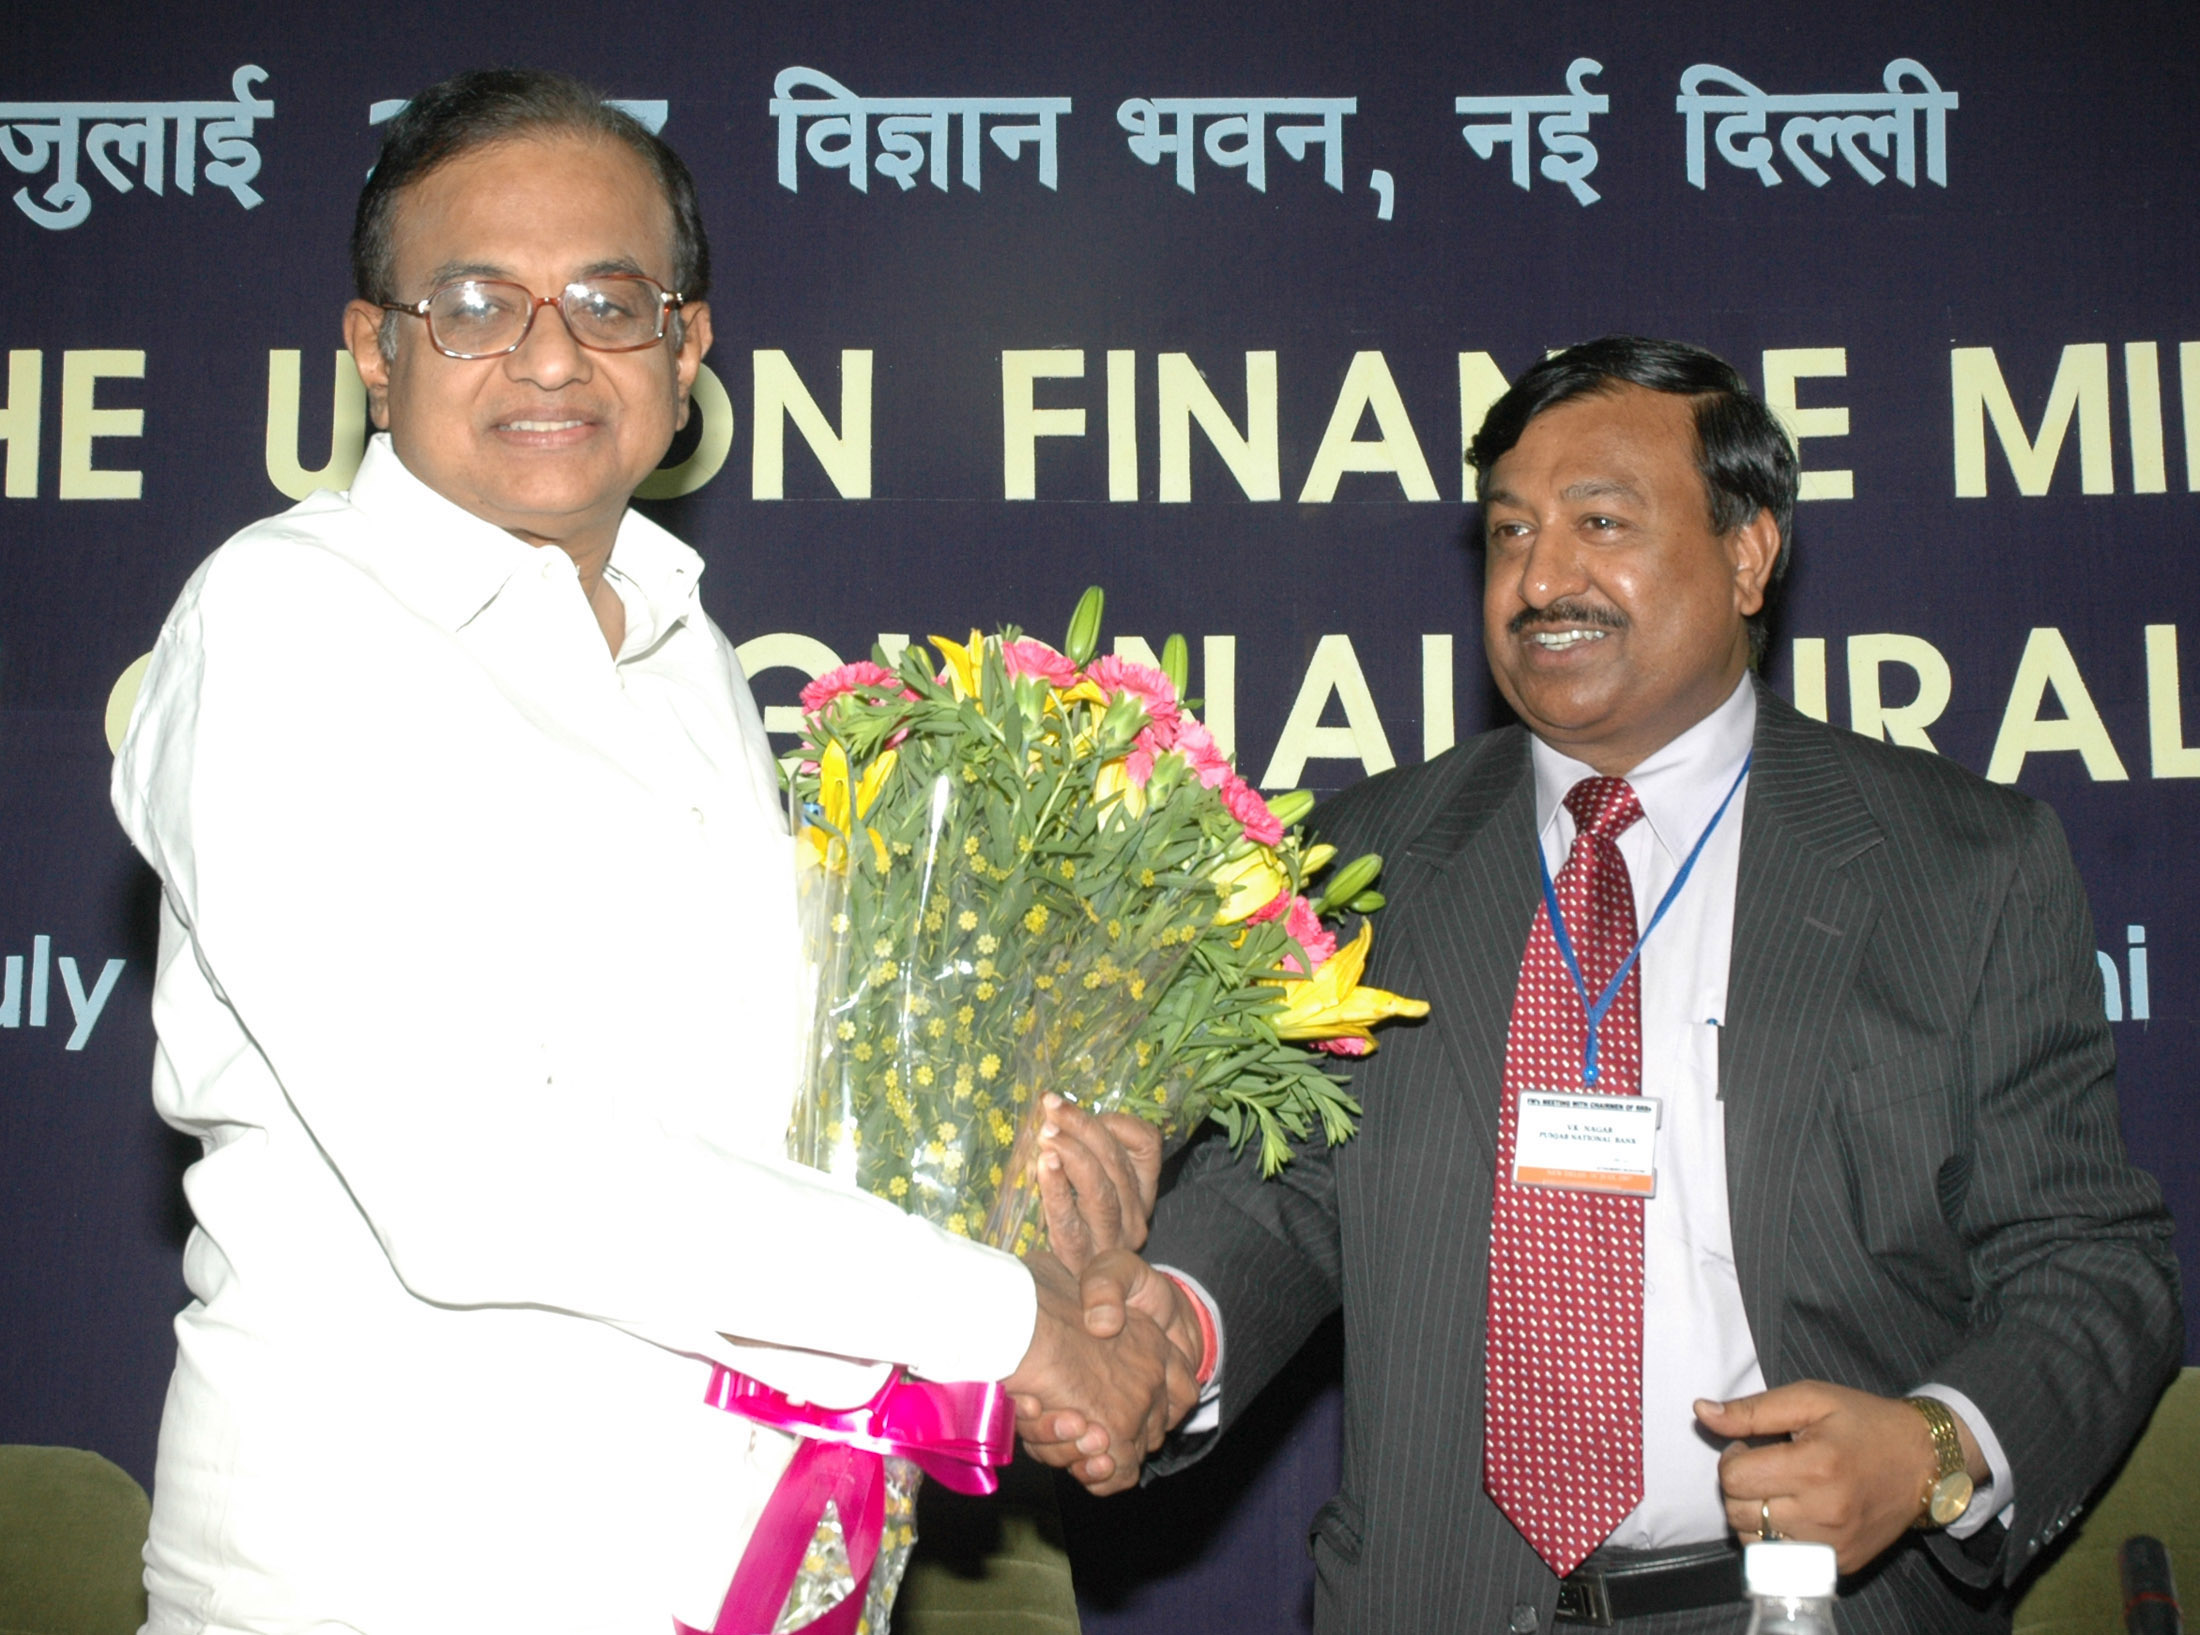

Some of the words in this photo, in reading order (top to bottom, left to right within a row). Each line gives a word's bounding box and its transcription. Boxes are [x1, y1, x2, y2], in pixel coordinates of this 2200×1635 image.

[0, 60, 282, 235] जुलाई
[752, 52, 1080, 212] विज्ञान
[1104, 80, 1362, 206] भवन
[1450, 46, 1612, 220] नई
[1664, 46, 1966, 194] दिल्ली
[0, 331, 169, 529] E
[994, 336, 1584, 508] FINA
[1925, 327, 2200, 513] MI